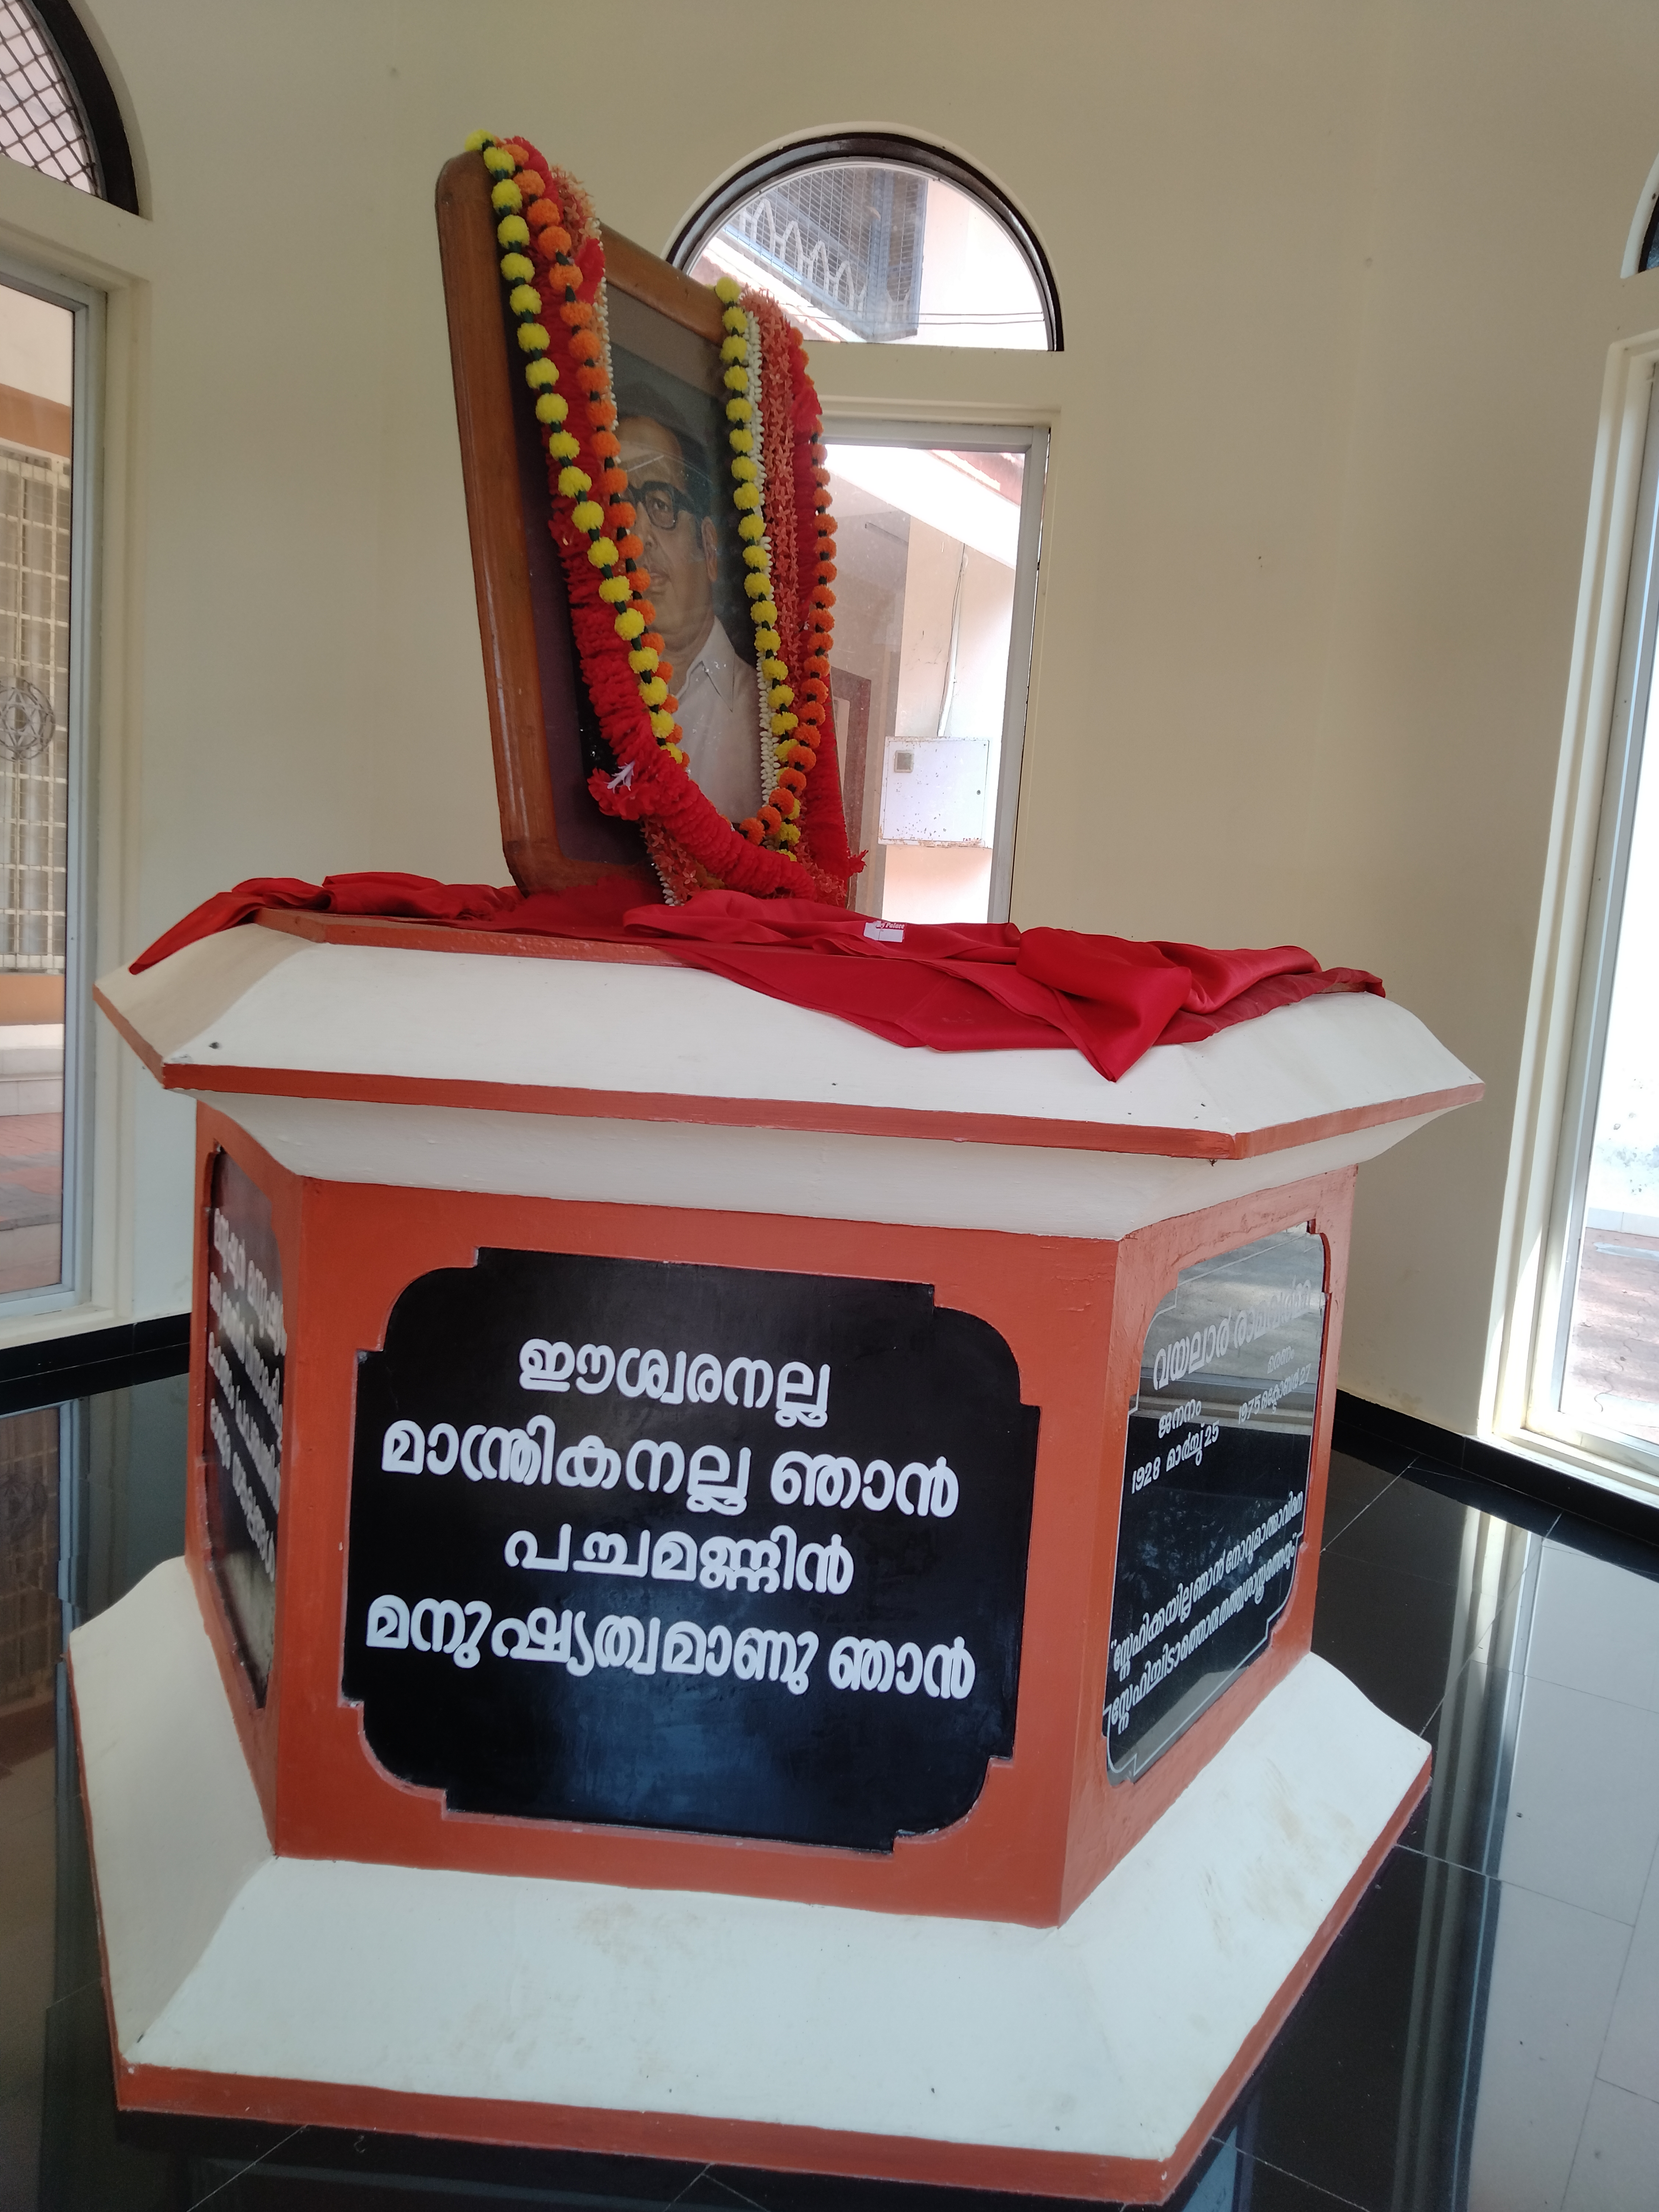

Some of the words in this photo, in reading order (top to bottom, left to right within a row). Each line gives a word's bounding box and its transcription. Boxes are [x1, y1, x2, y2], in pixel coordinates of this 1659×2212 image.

[242, 1256, 291, 1360] മനുഷ്യം
[377, 1410, 753, 1518] മാഗ്നികനല്ല
[512, 1334, 834, 1431] ഈശ്വരനല്ല
[767, 1445, 960, 1521] ഞാൻ
[1130, 1454, 1165, 1498] 1928
[1155, 1396, 1207, 1441] ജനനം
[1163, 1418, 1221, 1474] മാർച്ച് 25
[1152, 1304, 1236, 1396] വയലാർ
[1233, 1272, 1313, 1352] രാമവർമ്മ
[1236, 1362, 1312, 1427] 1975 കേെ്ടാബർ 27
[1264, 1344, 1297, 1377] മര‌ണം
[502, 1520, 857, 1597] പചമണ്ണിൻ
[363, 1588, 821, 1698] മനുഷ്യത്വമാണു
[824, 1632, 978, 1703] ഞാൻ